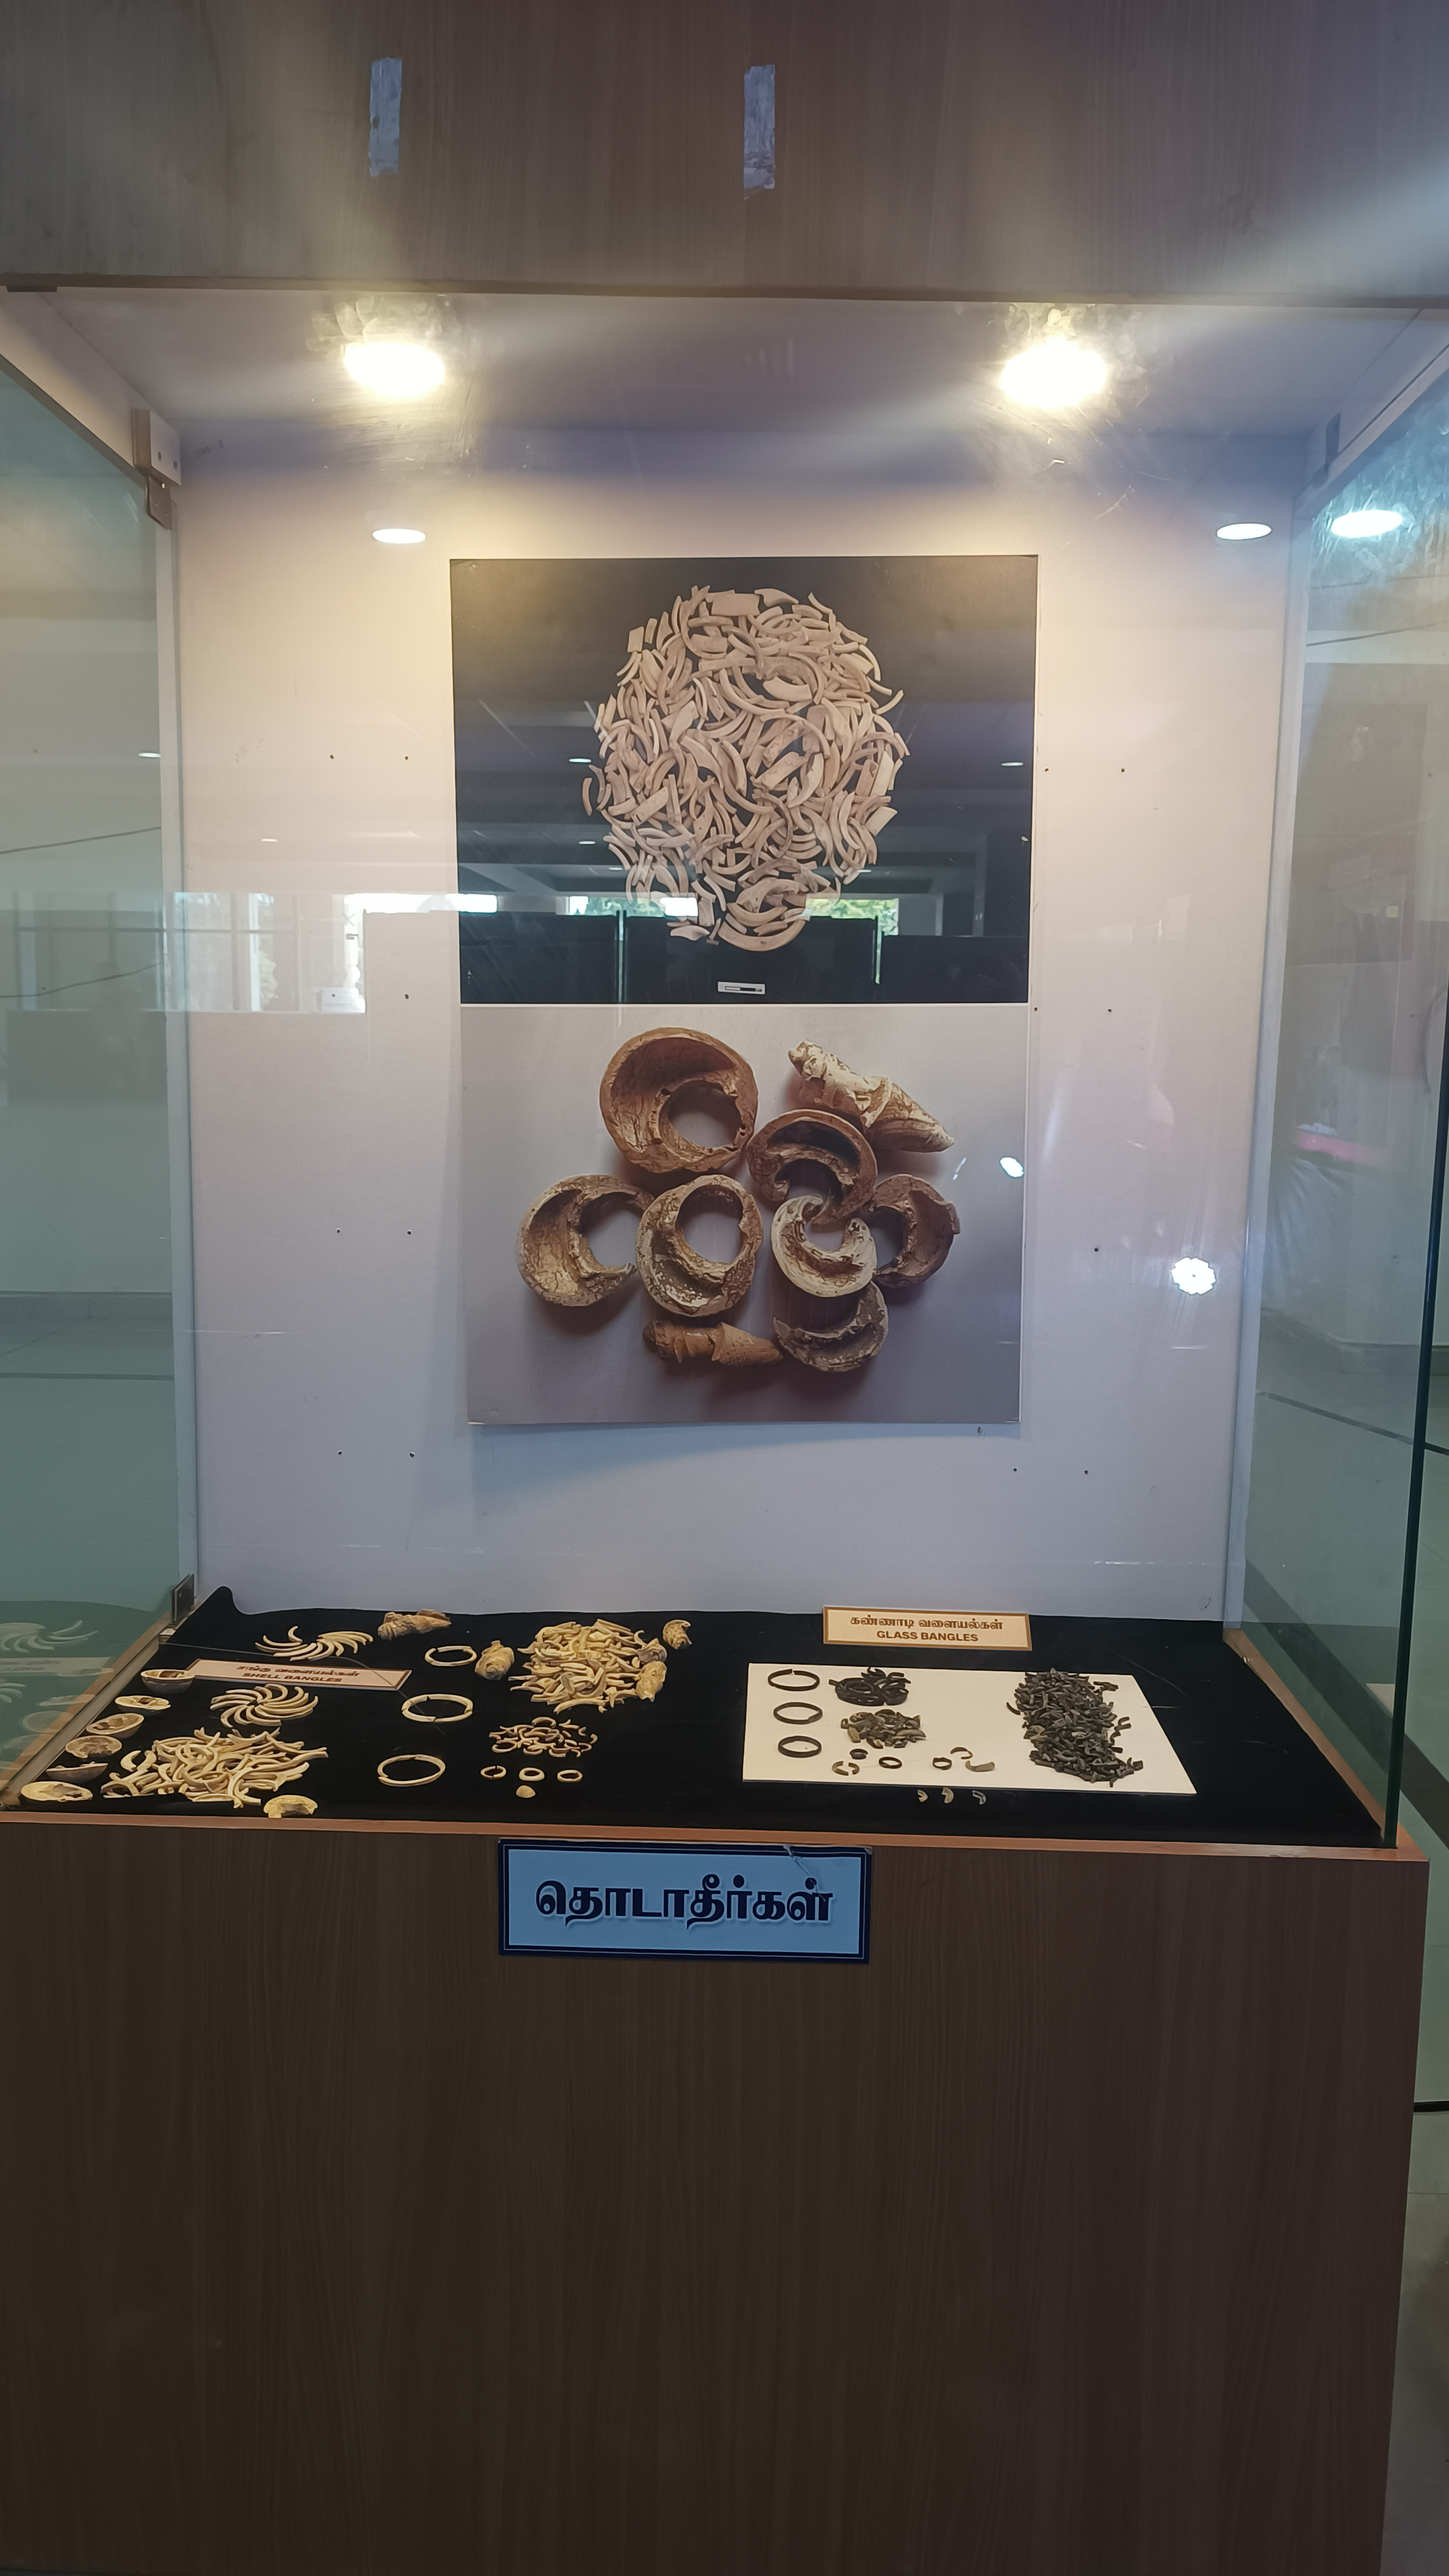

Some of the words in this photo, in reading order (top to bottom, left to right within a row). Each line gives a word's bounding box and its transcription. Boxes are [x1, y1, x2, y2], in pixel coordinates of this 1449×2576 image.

[848, 1614, 915, 1630] கண்ணாடி
[917, 1617, 1004, 1631] வளையல்கள்
[876, 1628, 919, 1641] GLASS
[918, 1632, 982, 1645] BANGLES
[234, 1663, 273, 1674] சங்க
[240, 1671, 281, 1681] SHELL
[282, 1673, 345, 1684] BANGLES
[274, 1666, 361, 1679] வங்காளம்
[531, 1869, 836, 1932] தொடாதீா்கள்